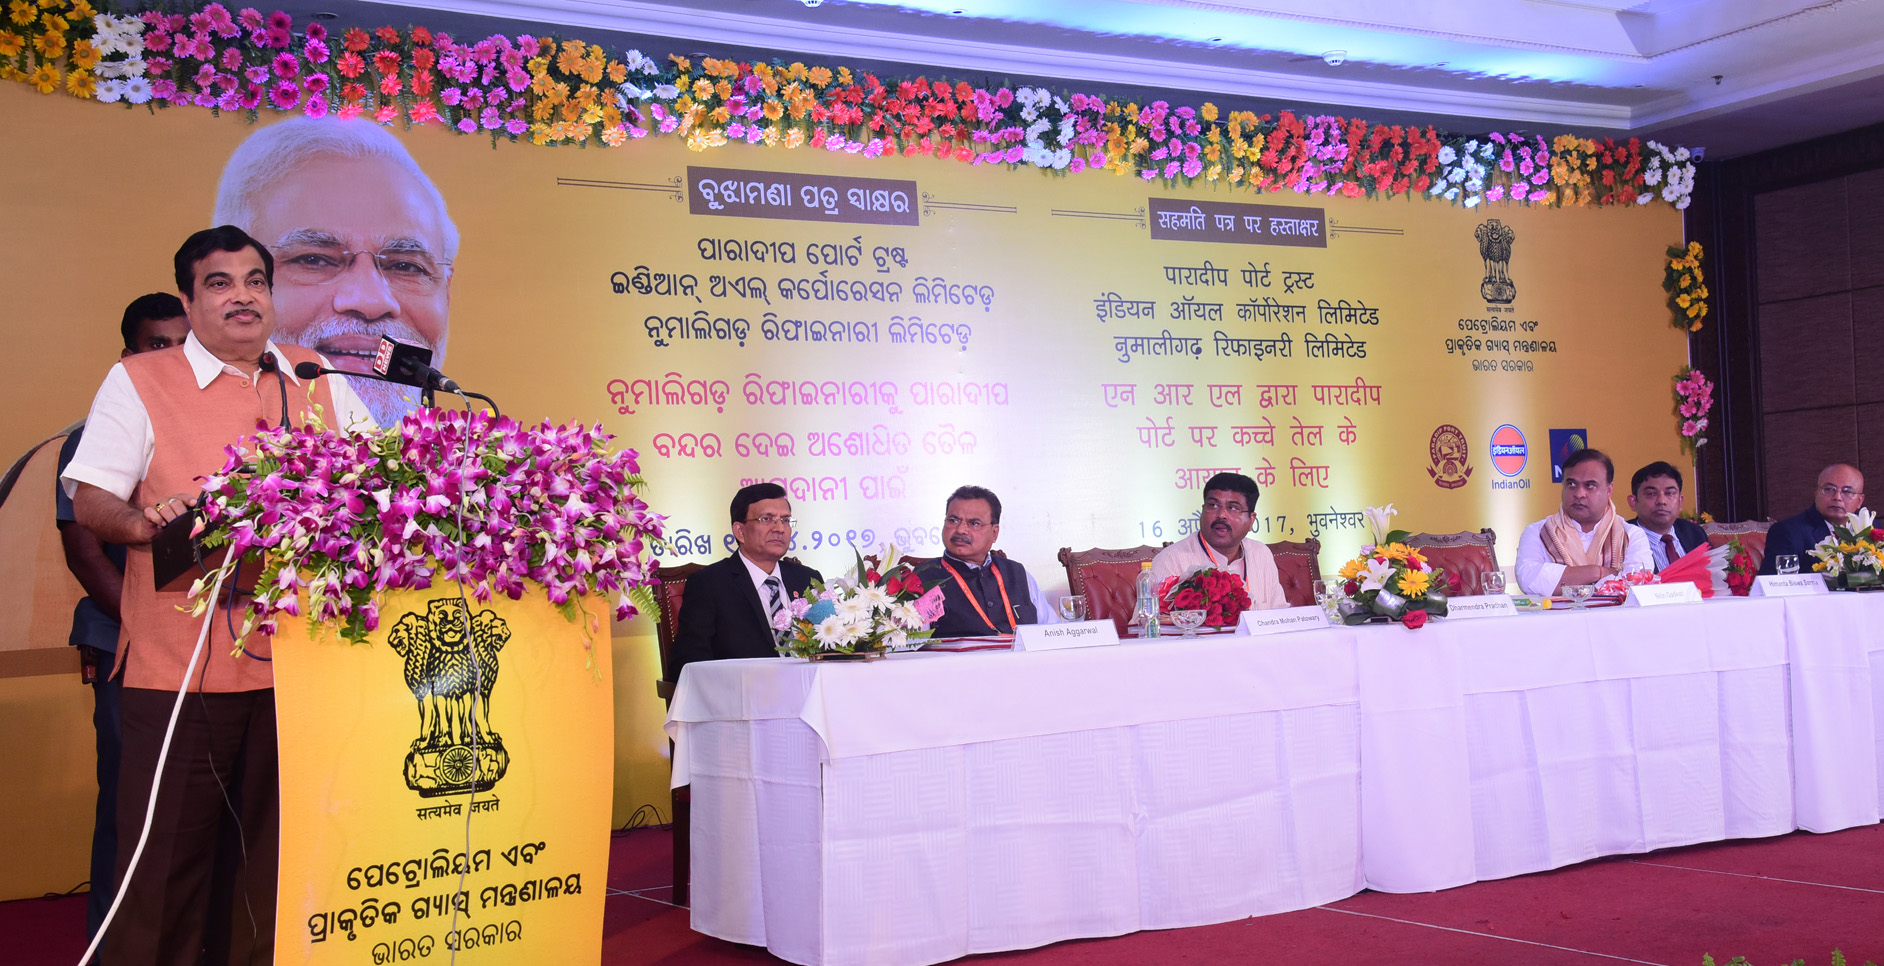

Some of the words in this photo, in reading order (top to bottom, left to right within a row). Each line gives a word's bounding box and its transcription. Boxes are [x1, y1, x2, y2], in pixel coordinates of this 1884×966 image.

[691, 170, 795, 215] ବୁଝାମଣା
[792, 177, 843, 218] ପତ୍ର
[846, 183, 915, 215] ସାକ୍ଷର
[1157, 199, 1211, 234] सहमति
[1212, 209, 1240, 235] पत्र
[1239, 210, 1265, 236] पर
[1268, 211, 1322, 241] हस्ताक्षर
[606, 261, 704, 307] ଇଣ୍ଡିଆନ୍
[641, 305, 754, 355] ନୁମାଲିଗଡ଼
[707, 271, 771, 308] ଅଏଲ୍
[695, 231, 801, 270] ପାରାଦୀପ
[755, 305, 883, 347] ରିଫାଇନାରୀ
[803, 228, 867, 273] ପୋର୍ଟ
[775, 266, 907, 308] କର୍ପୋରେସନ
[869, 240, 912, 278] ଟ୍ରଷ୍ଟ
[883, 307, 977, 355] ଲିମିଟେଡ଼
[912, 276, 997, 311] ଲିମିଟେଡ଼
[1090, 287, 1160, 326] इंडियन
[1109, 328, 1205, 364] नुमालीगढ़
[1163, 294, 1226, 328] ऑयल
[1162, 259, 1230, 290] पारादीप
[1210, 327, 1297, 364] रिफाइनरी
[1240, 257, 1272, 294] पोर्ट
[1232, 295, 1308, 328] कॉर्पोरेशन
[1278, 267, 1317, 299] ट्रस्ट
[1299, 328, 1371, 365] लिमिटेड
[1314, 295, 1384, 328] लिमिटेड
[1440, 328, 1485, 360] ପ୍ରାକୃତିକ
[1464, 351, 1501, 377] ଭାରତ
[1454, 314, 1518, 336] ପେଟ୍ରୋଲିୟମ
[1481, 332, 1514, 357] ଗ୍ୟାସ୍
[1494, 351, 1537, 379] ସରକାର
[1518, 315, 1543, 335] ଏବଂ
[1508, 334, 1559, 355] ମନ୍ତ୍ରଣାଳୟ
[604, 368, 729, 417] ନୁମାଲିଗଡ଼
[735, 365, 906, 420] ରିଫାଇନାରୀକୁ
[904, 376, 1012, 411] ପାରାଦୀପ
[1098, 377, 1142, 412] एन
[1149, 377, 1198, 411] आर
[1202, 378, 1246, 411] एल
[1253, 379, 1300, 415] द्वारा
[1308, 377, 1386, 411] पारादीप
[650, 429, 722, 461] ବନ୍ଦର
[732, 424, 797, 464] ଦେଇ
[799, 418, 919, 461] ଅଶୋଧିତ
[920, 416, 982, 459] ତୈଳ
[1133, 412, 1180, 452] पोर्ट
[1185, 419, 1221, 452] पर
[1226, 415, 1278, 450] कच्चे
[1283, 413, 1325, 452] तेल
[1330, 408, 1363, 445] के
[1488, 437, 1527, 459] इंडियनऑयल
[741, 474, 851, 508] ଦାନୀ
[857, 459, 911, 509] ପାଇଁ
[1248, 452, 1280, 491] के
[1289, 454, 1332, 492] लिए
[1489, 475, 1534, 491] IndianOil
[808, 520, 881, 552] ୨୦୧୭
[1131, 514, 1167, 543] 16
[1303, 500, 1368, 547] भुवनेश्वर
[412, 793, 466, 825] सत्‍यमेव
[467, 791, 502, 818] जयते
[343, 844, 496, 894] ପେଟ୍ରୋଲିୟମ
[500, 837, 546, 870] ଏବଂ
[307, 892, 411, 949] ପ୍ରାକୃତିକ
[369, 931, 436, 966] ଭାରତ
[408, 886, 474, 925] ଗ୍ୟାସ୍
[442, 916, 526, 958] ସରକାର
[475, 869, 585, 913] ମନ୍ତ୍ରଣାଳୟ